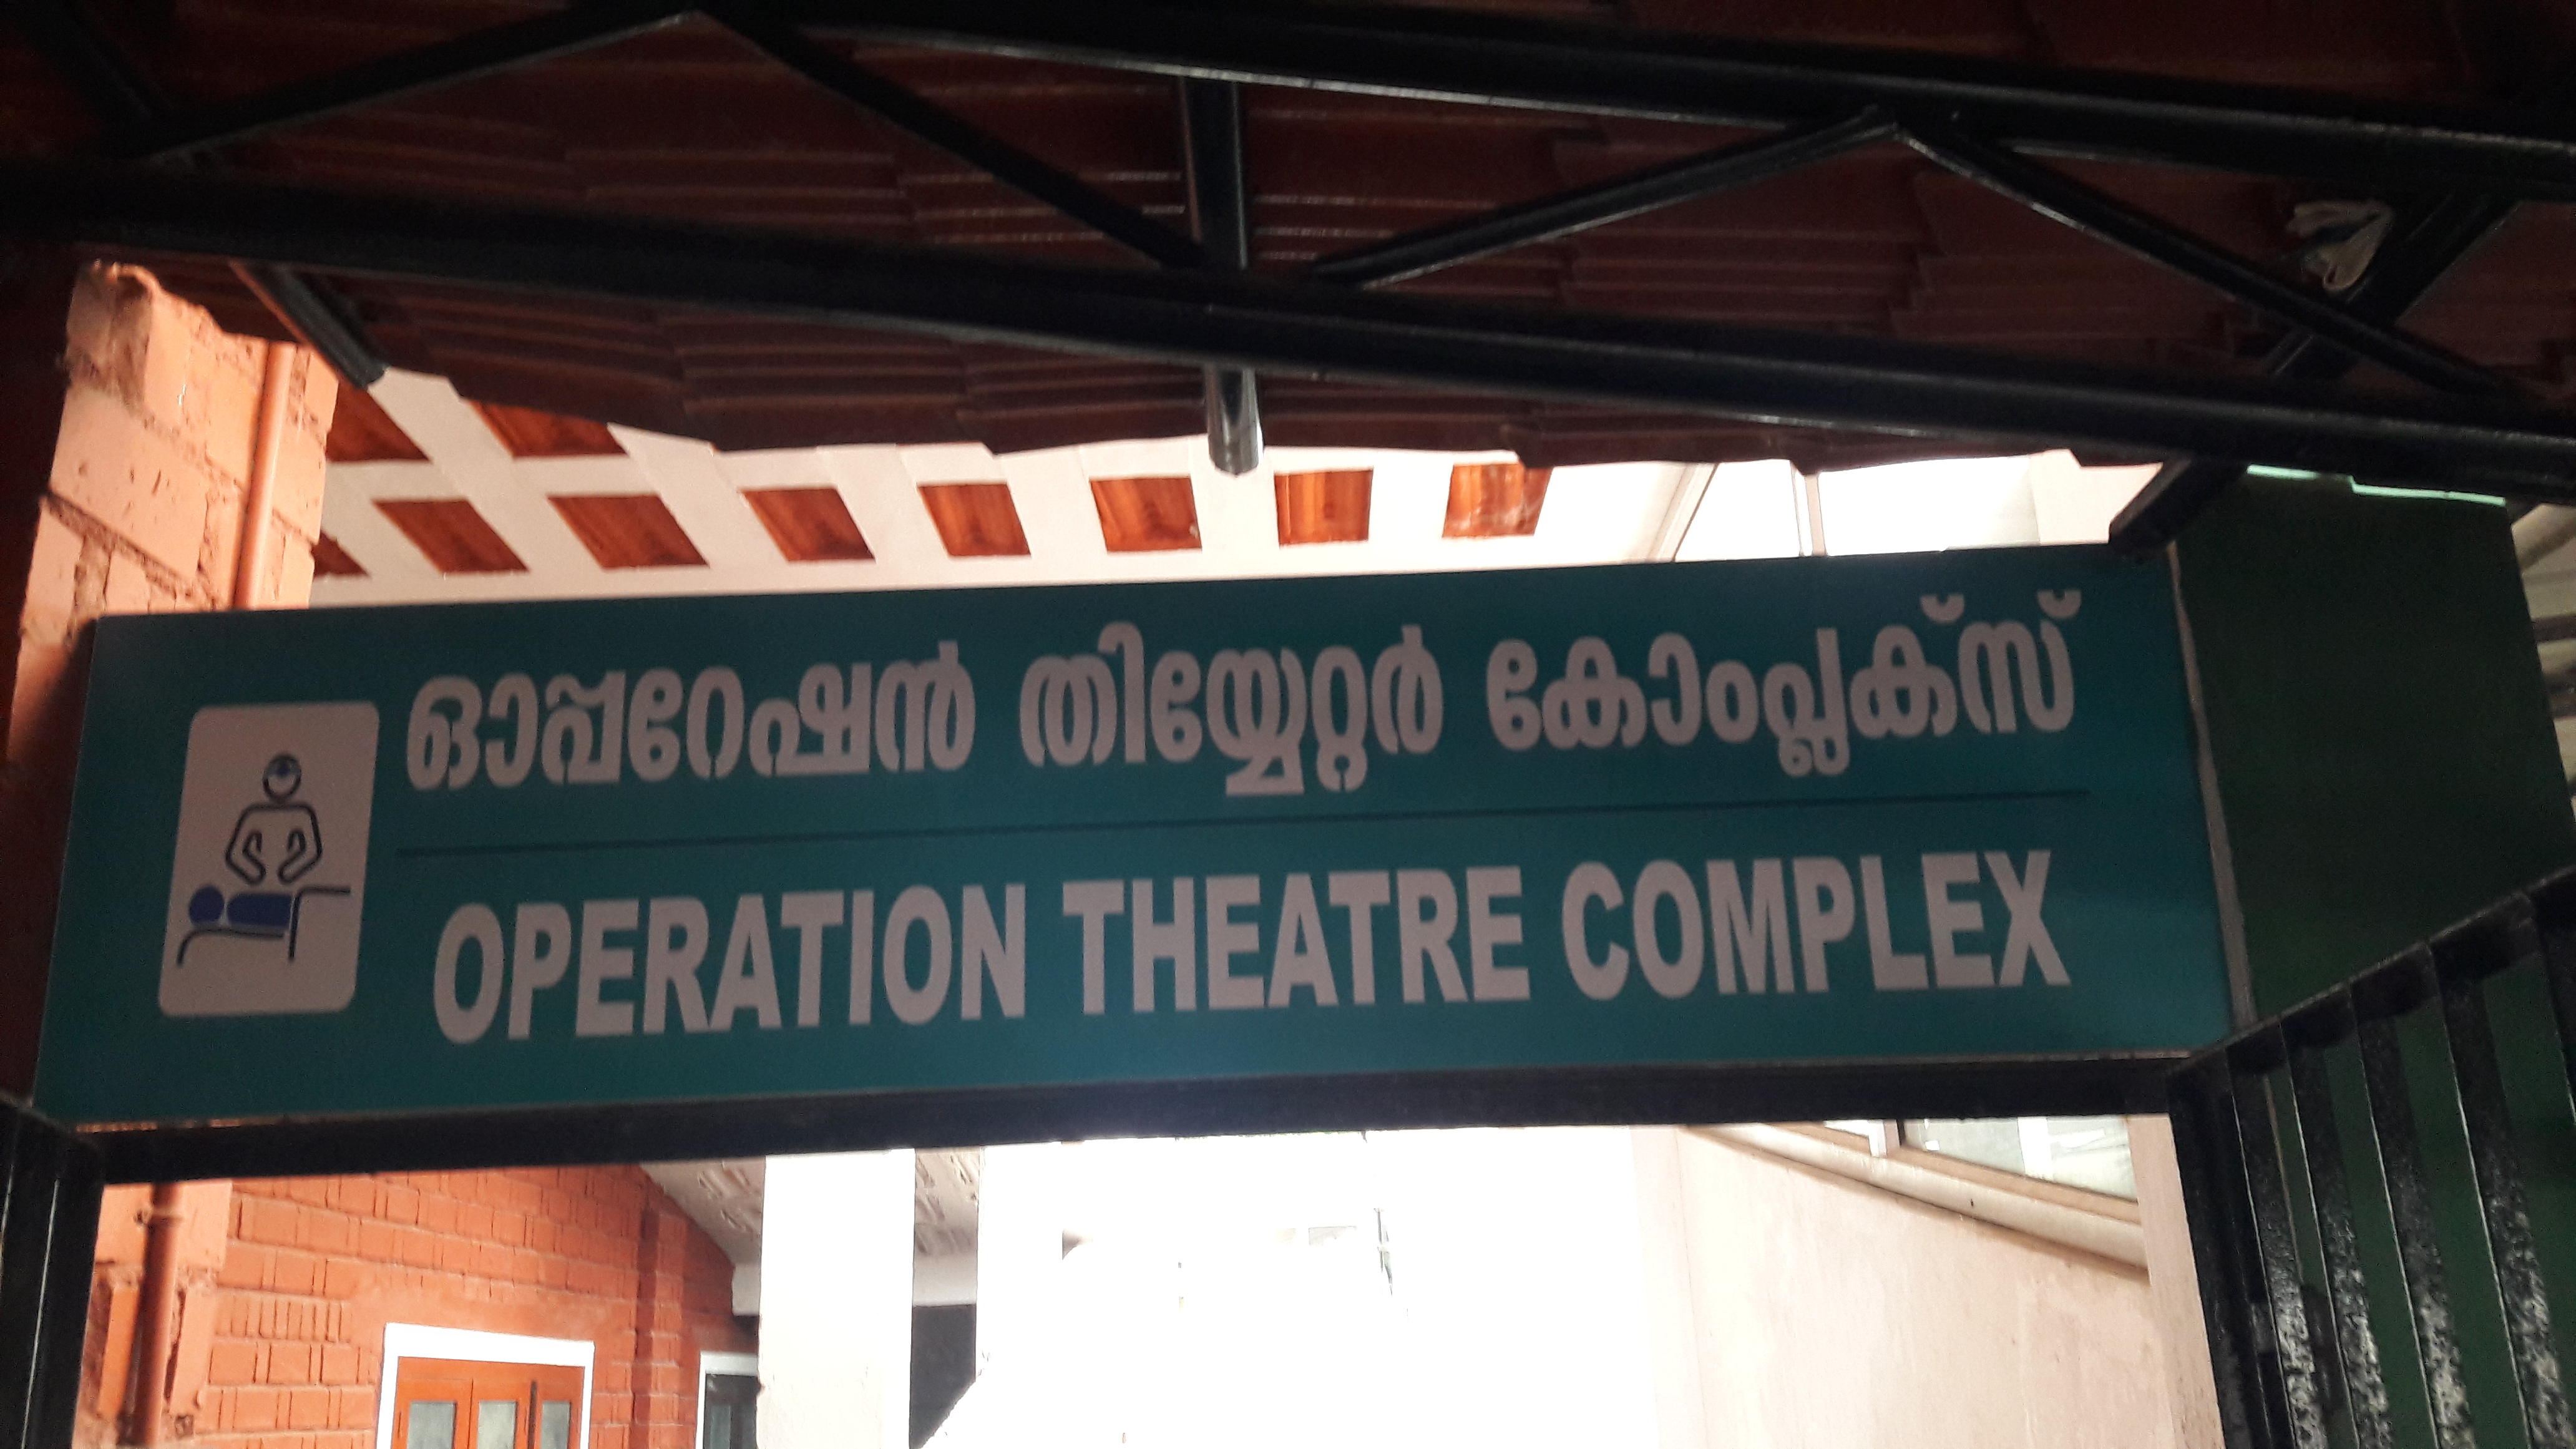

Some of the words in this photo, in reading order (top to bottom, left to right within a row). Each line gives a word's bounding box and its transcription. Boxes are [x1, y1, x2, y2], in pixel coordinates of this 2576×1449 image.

[395, 632, 988, 801] ഓപറേഷൻ
[1010, 604, 1451, 803] തിയ്യേറ്റർ
[1478, 582, 2087, 786] കോംപ്ലക്‌സ്
[424, 876, 1032, 1051] OPERATION
[1056, 857, 1536, 1020] THEATRE
[1551, 844, 2075, 1008] COMPLEX